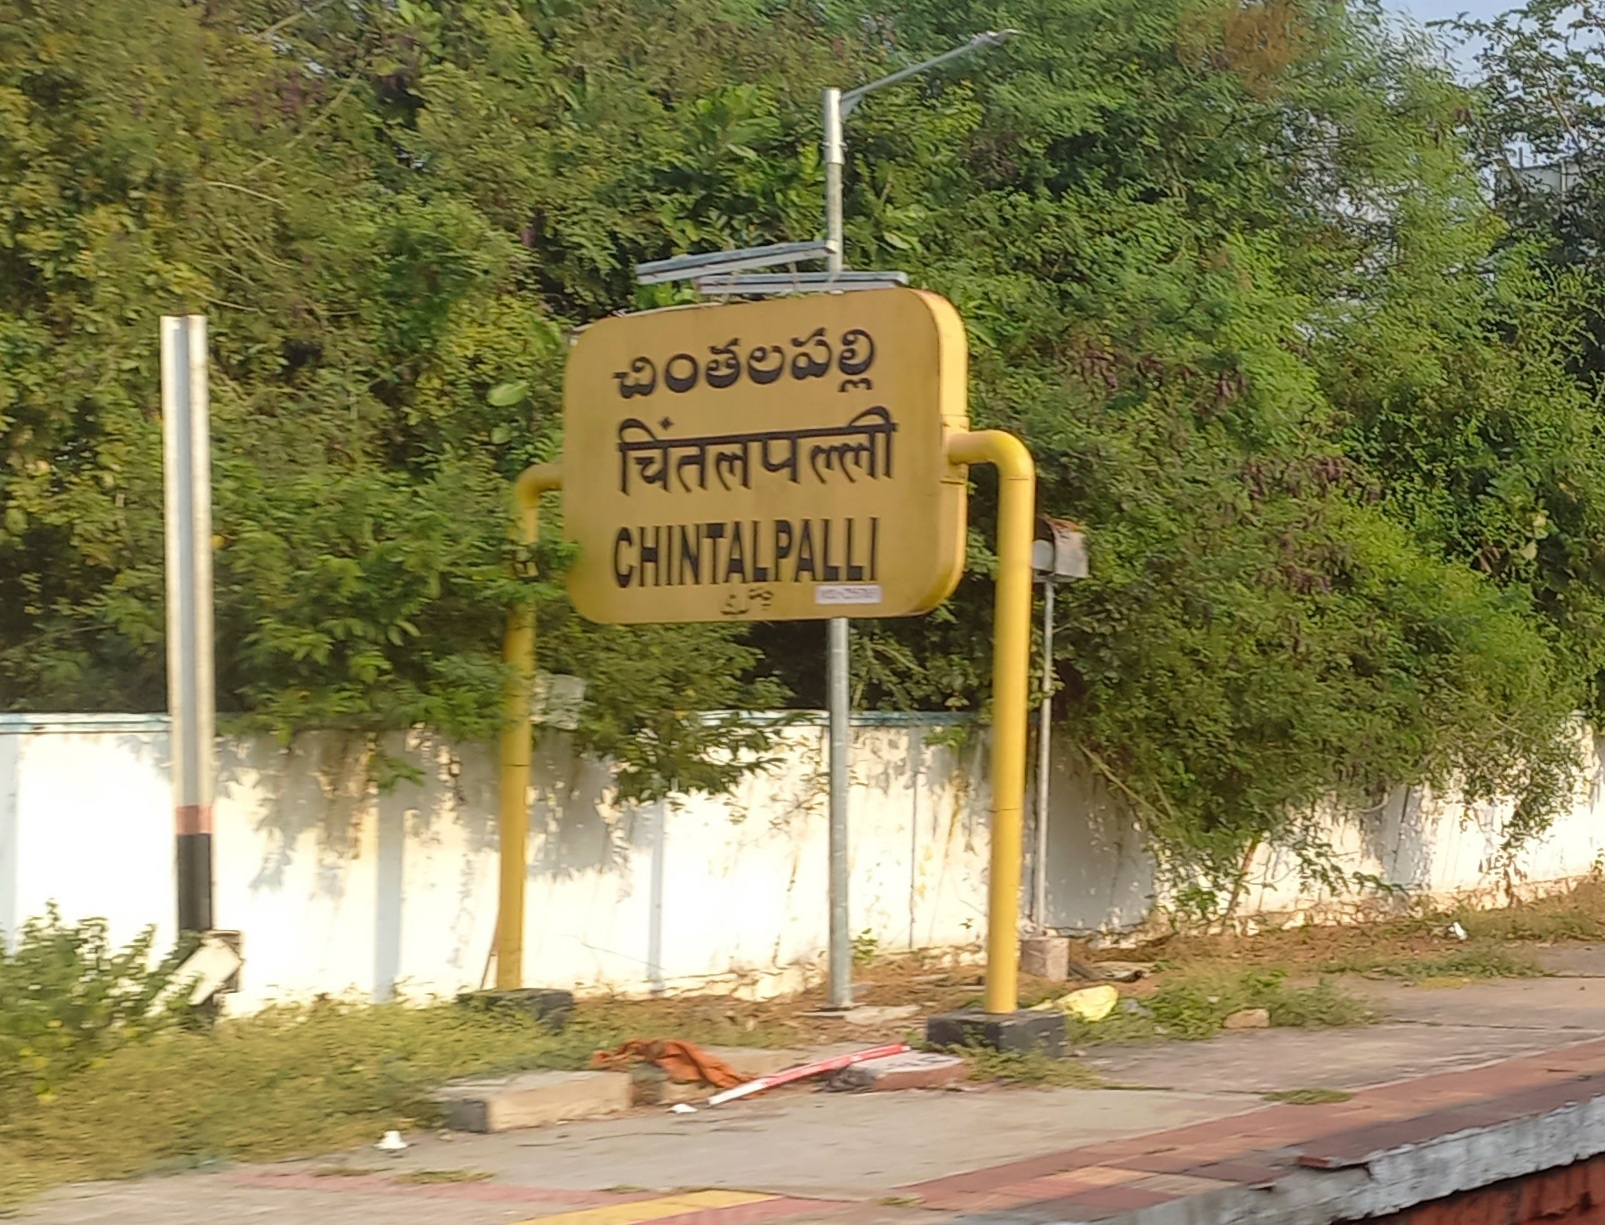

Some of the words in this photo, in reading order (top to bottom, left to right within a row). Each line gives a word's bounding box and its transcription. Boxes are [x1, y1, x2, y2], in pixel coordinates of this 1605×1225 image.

[607, 318, 880, 409] చింతలపల్లి
[598, 395, 904, 507] चिंतलपल्ली
[608, 512, 887, 595] CHINTALPALLI